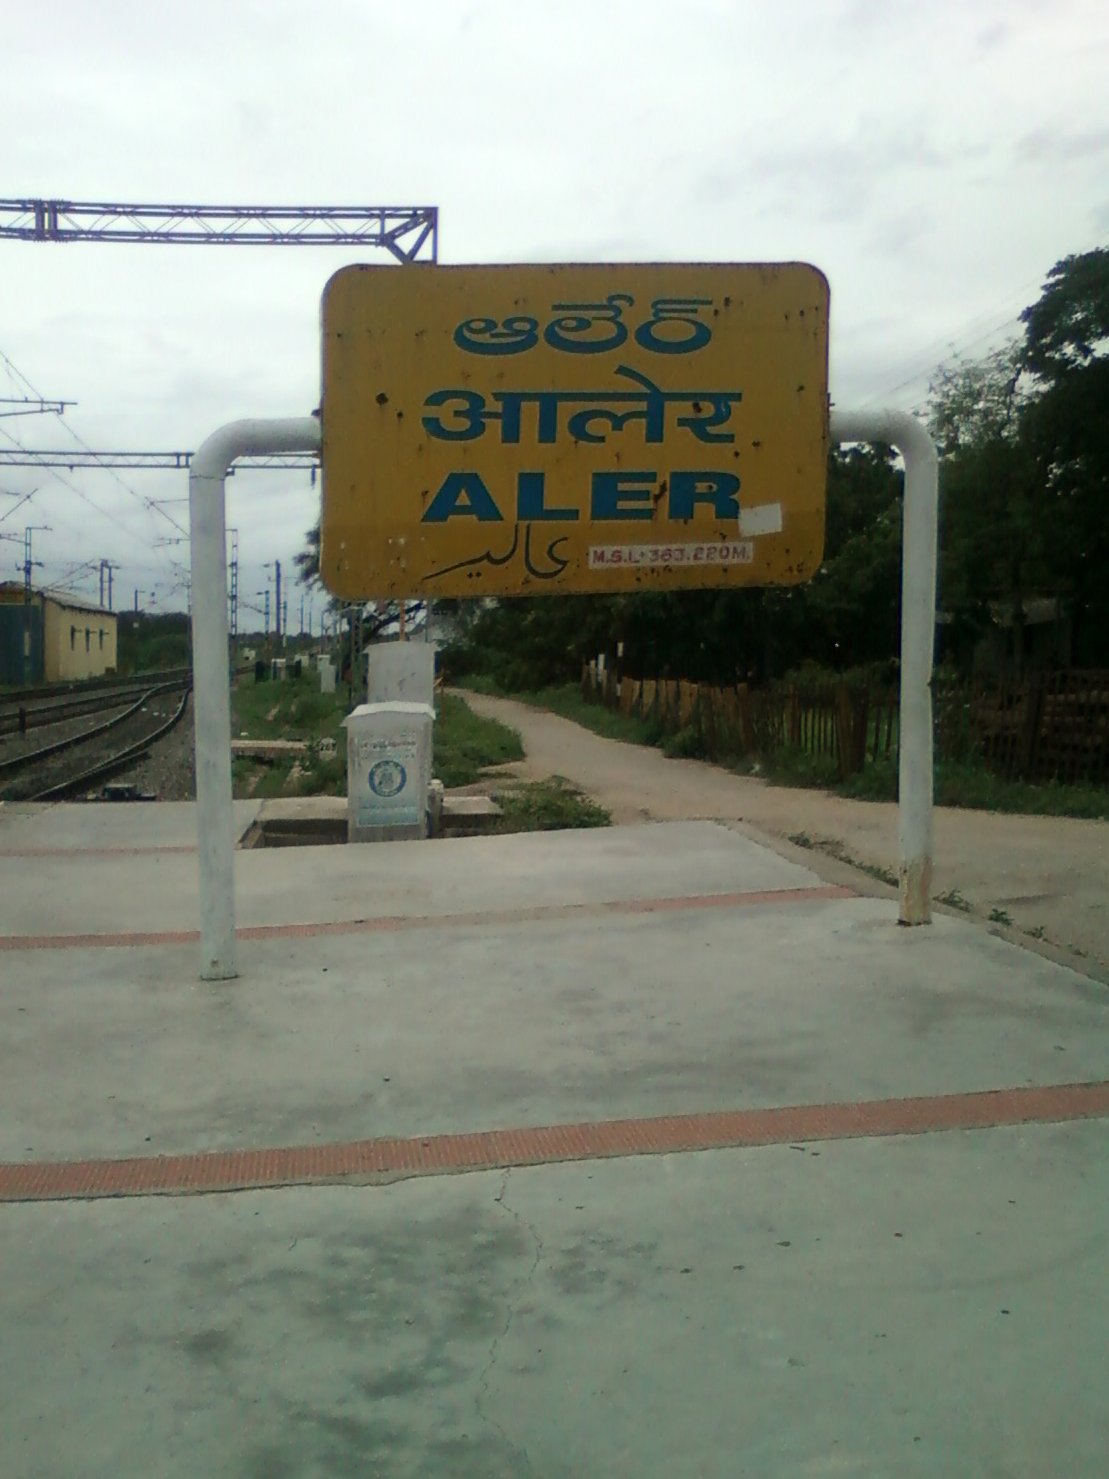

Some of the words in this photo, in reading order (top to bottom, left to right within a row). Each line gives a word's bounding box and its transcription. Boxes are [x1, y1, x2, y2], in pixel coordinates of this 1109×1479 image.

[443, 282, 722, 363] ఆలేర్
[416, 361, 746, 451] आलेर
[418, 464, 746, 530] ALER
[589, 541, 749, 566] M.S.L+383.220M.